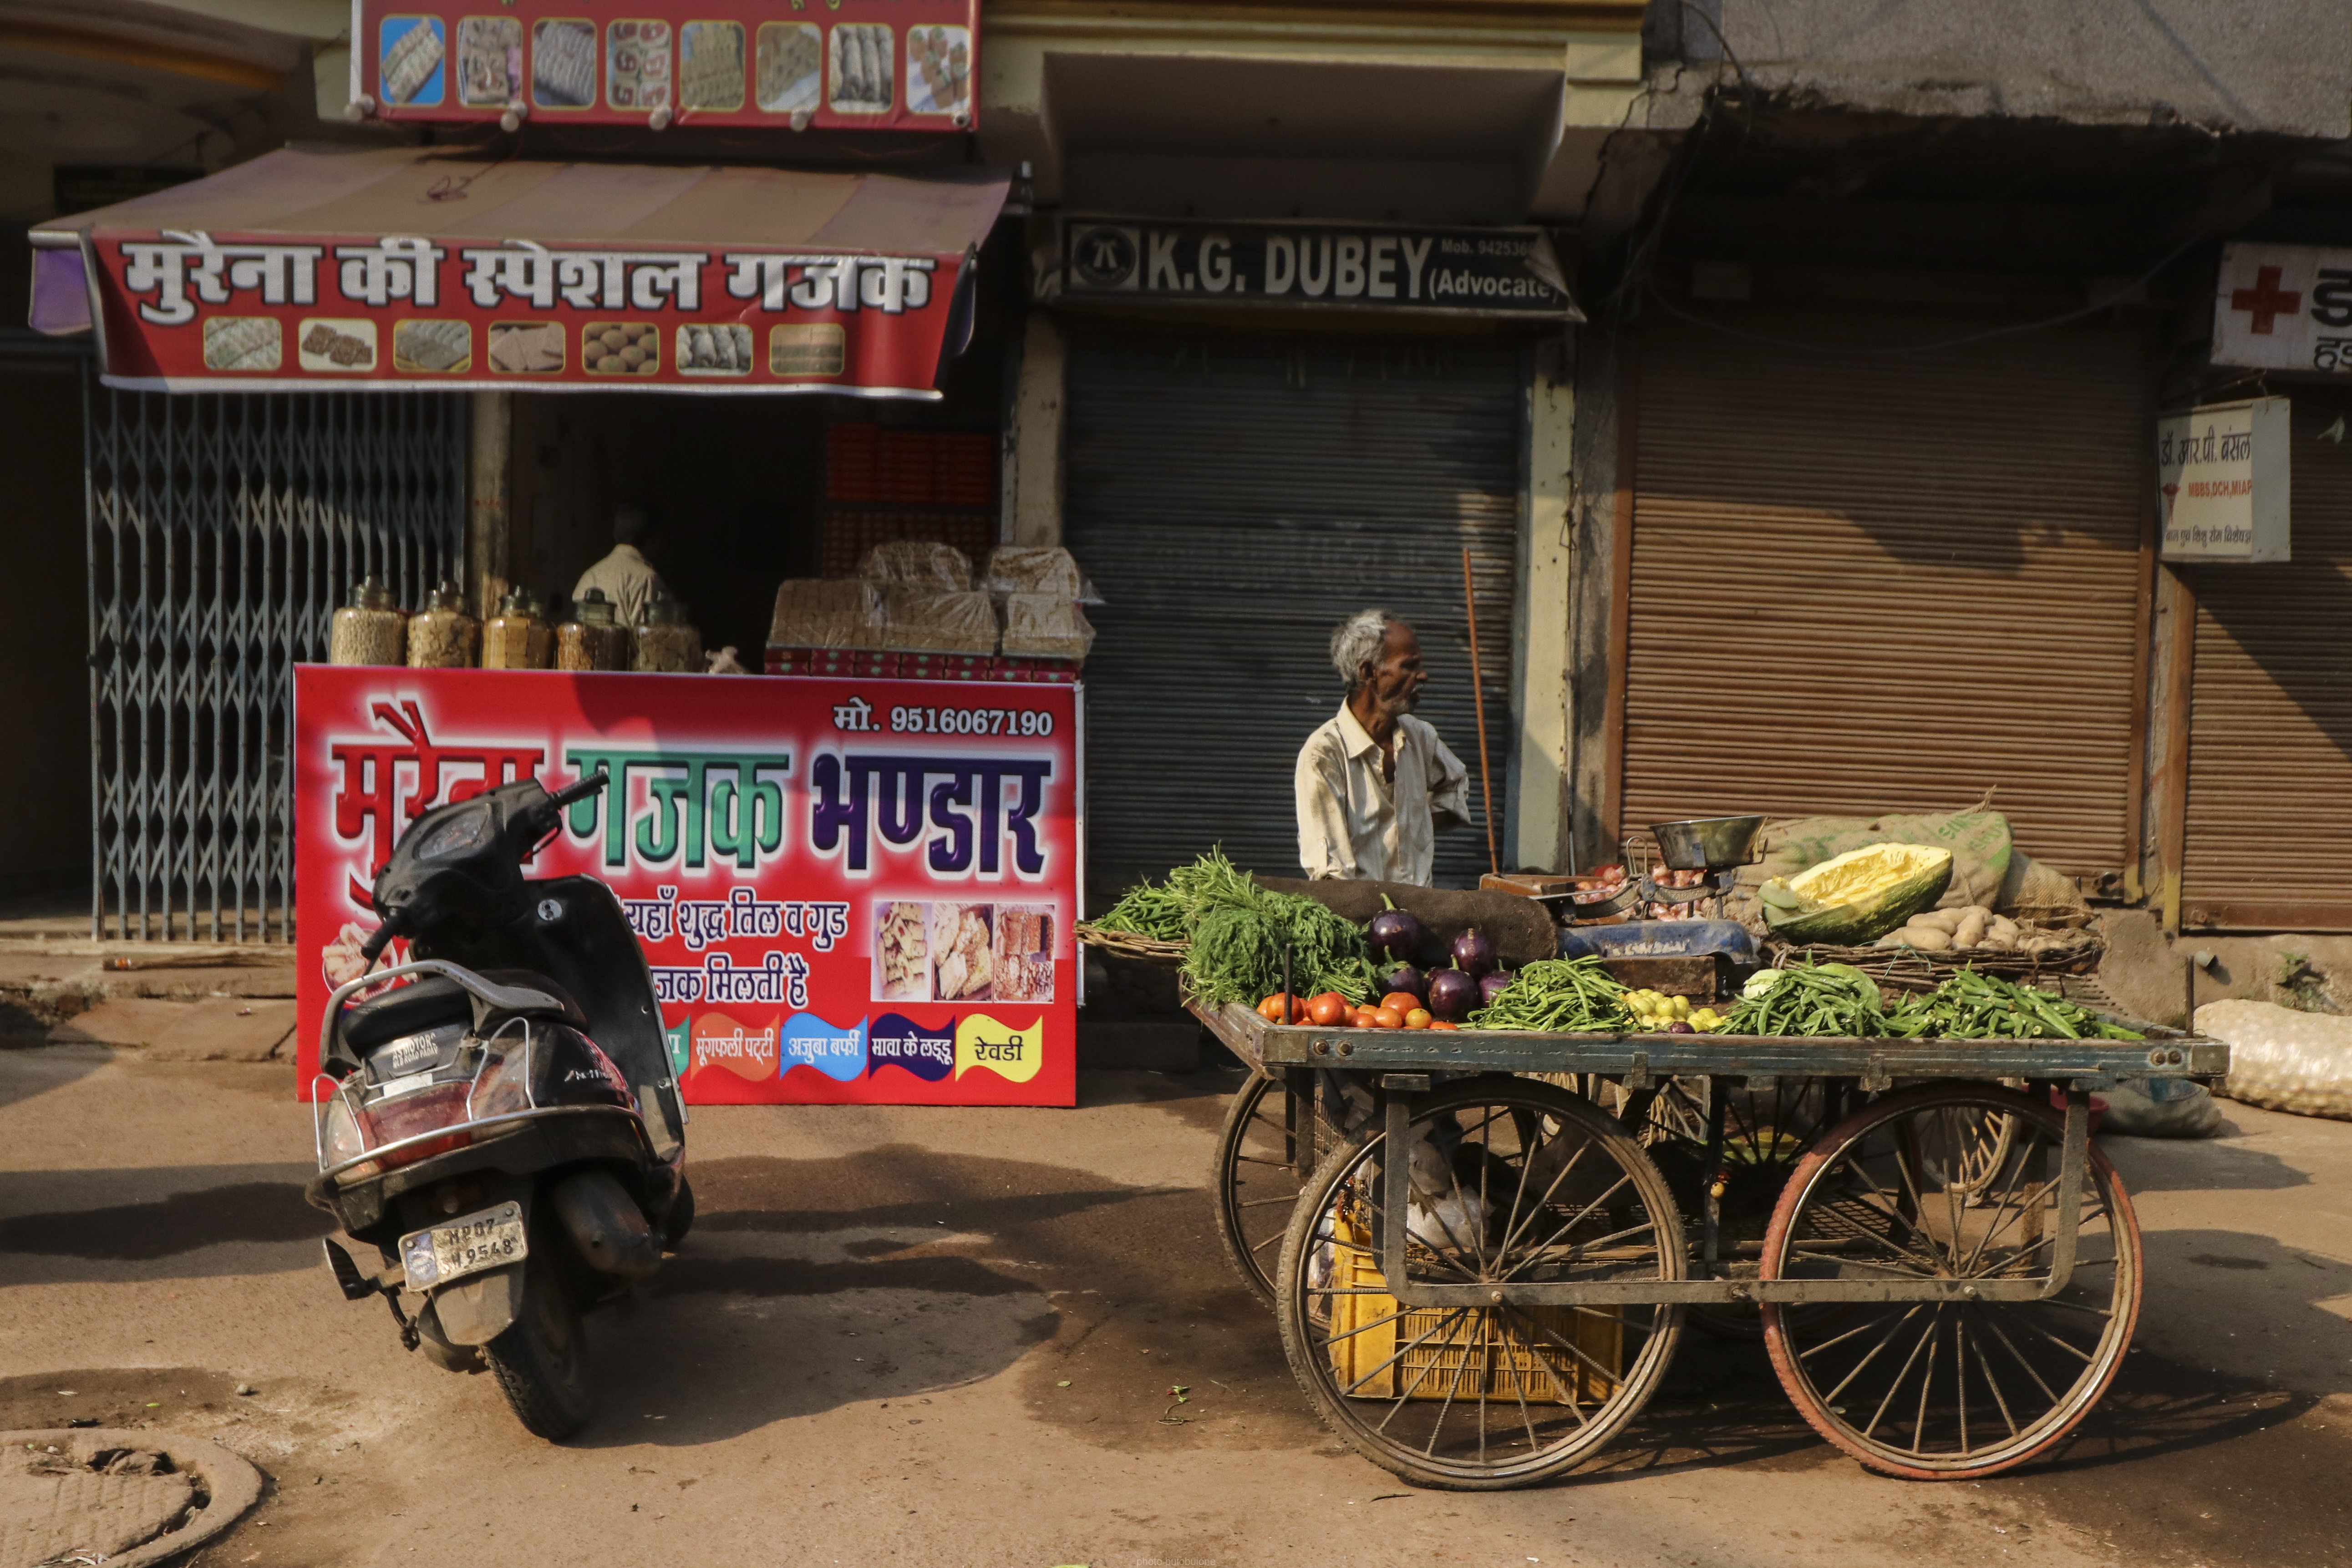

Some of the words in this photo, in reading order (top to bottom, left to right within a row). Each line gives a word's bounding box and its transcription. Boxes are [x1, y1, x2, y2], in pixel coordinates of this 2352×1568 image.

[119, 225, 326, 327] मुरैना
[335, 225, 448, 309] की
[460, 233, 714, 312] स्पेशल
[725, 249, 937, 316] गजक
[1141, 225, 1249, 296] K.G.
[1259, 226, 1436, 303] DUBEY
[1435, 234, 1478, 257] Mob.
[1434, 267, 1555, 300] Advocat
[2156, 426, 2178, 469] डॉ.
[2175, 421, 2220, 468] आर.पी.
[2218, 423, 2254, 463] बंसल
[2188, 480, 2211, 499] MBBS
[2210, 478, 2231, 498] DCH,
[2229, 475, 2255, 498] MIAP
[2164, 528, 2181, 544] बाल
[2178, 523, 2196, 549] एवं
[2189, 521, 2210, 550] शिशु
[2206, 522, 2224, 545] रोग
[2219, 520, 2254, 546] विशेषज्ञ
[828, 694, 883, 734] मो.
[888, 704, 1054, 739] 9516067190
[564, 744, 791, 870] गजक
[804, 741, 1057, 884] भण्डार
[621, 882, 680, 946] यहाँ
[677, 895, 730, 953] शु़द्ध
[727, 883, 786, 938] तिल
[783, 899, 808, 937] व
[807, 898, 853, 955] गुड
[698, 946, 787, 1006] मिलती
[784, 952, 810, 1011] हैं
[693, 1025, 746, 1068] मूंगफली
[745, 1024, 778, 1067] पट्टी
[786, 1031, 829, 1067] अजुबा
[828, 1025, 864, 1058] बर्फी
[871, 1035, 902, 1059] मावा
[899, 1025, 921, 1061] के
[917, 1035, 956, 1068] लड्डू
[970, 1032, 1026, 1064] रेवडी